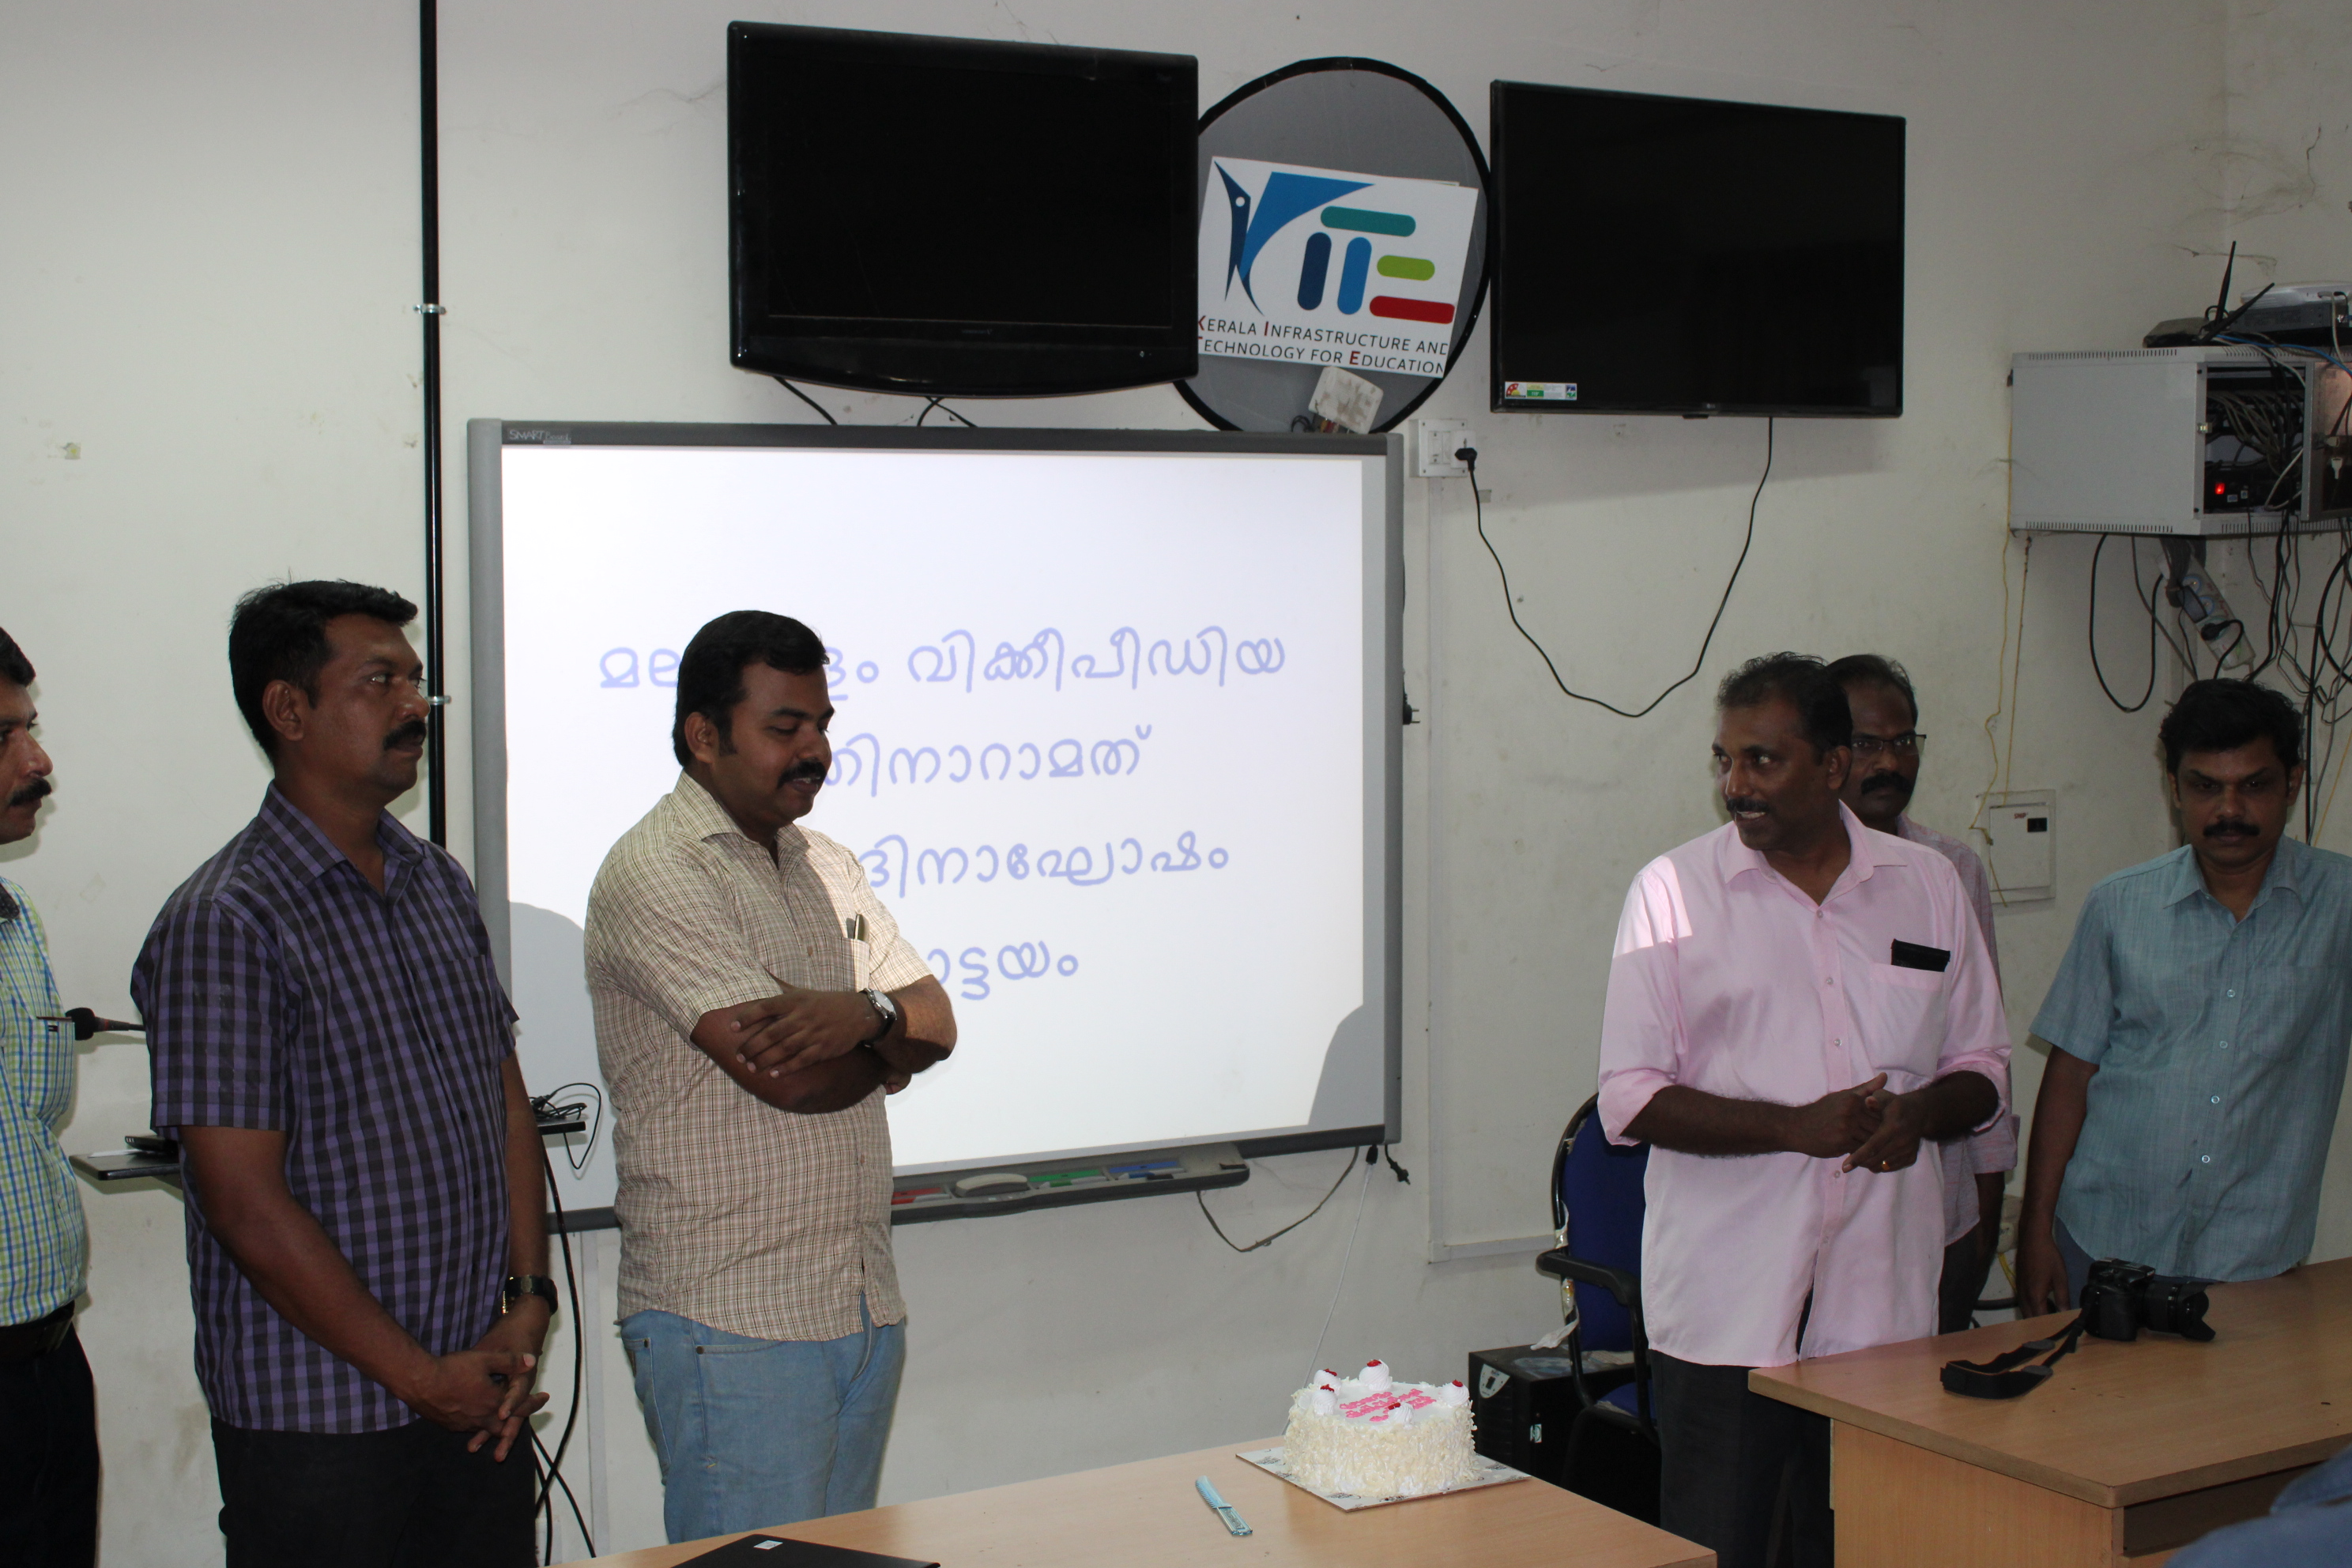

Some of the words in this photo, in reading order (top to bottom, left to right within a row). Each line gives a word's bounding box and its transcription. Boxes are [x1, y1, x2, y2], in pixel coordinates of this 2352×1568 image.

[1191, 312, 1260, 340] KERALA
[1200, 334, 1307, 365] ECHNOLOGY
[1308, 345, 1344, 368] FOR
[1259, 317, 1414, 360] INFRASTRUCTURE
[1345, 346, 1449, 375] EDUCATION
[1412, 335, 1454, 361] AND
[588, 637, 680, 699] മല
[904, 620, 1291, 696] വിക്കിപീഡിയ
[818, 722, 1155, 799] ഗിനാറാമത്
[852, 827, 1234, 903] ദിനാഘോഷം
[922, 931, 1086, 1012] റട്ടയം